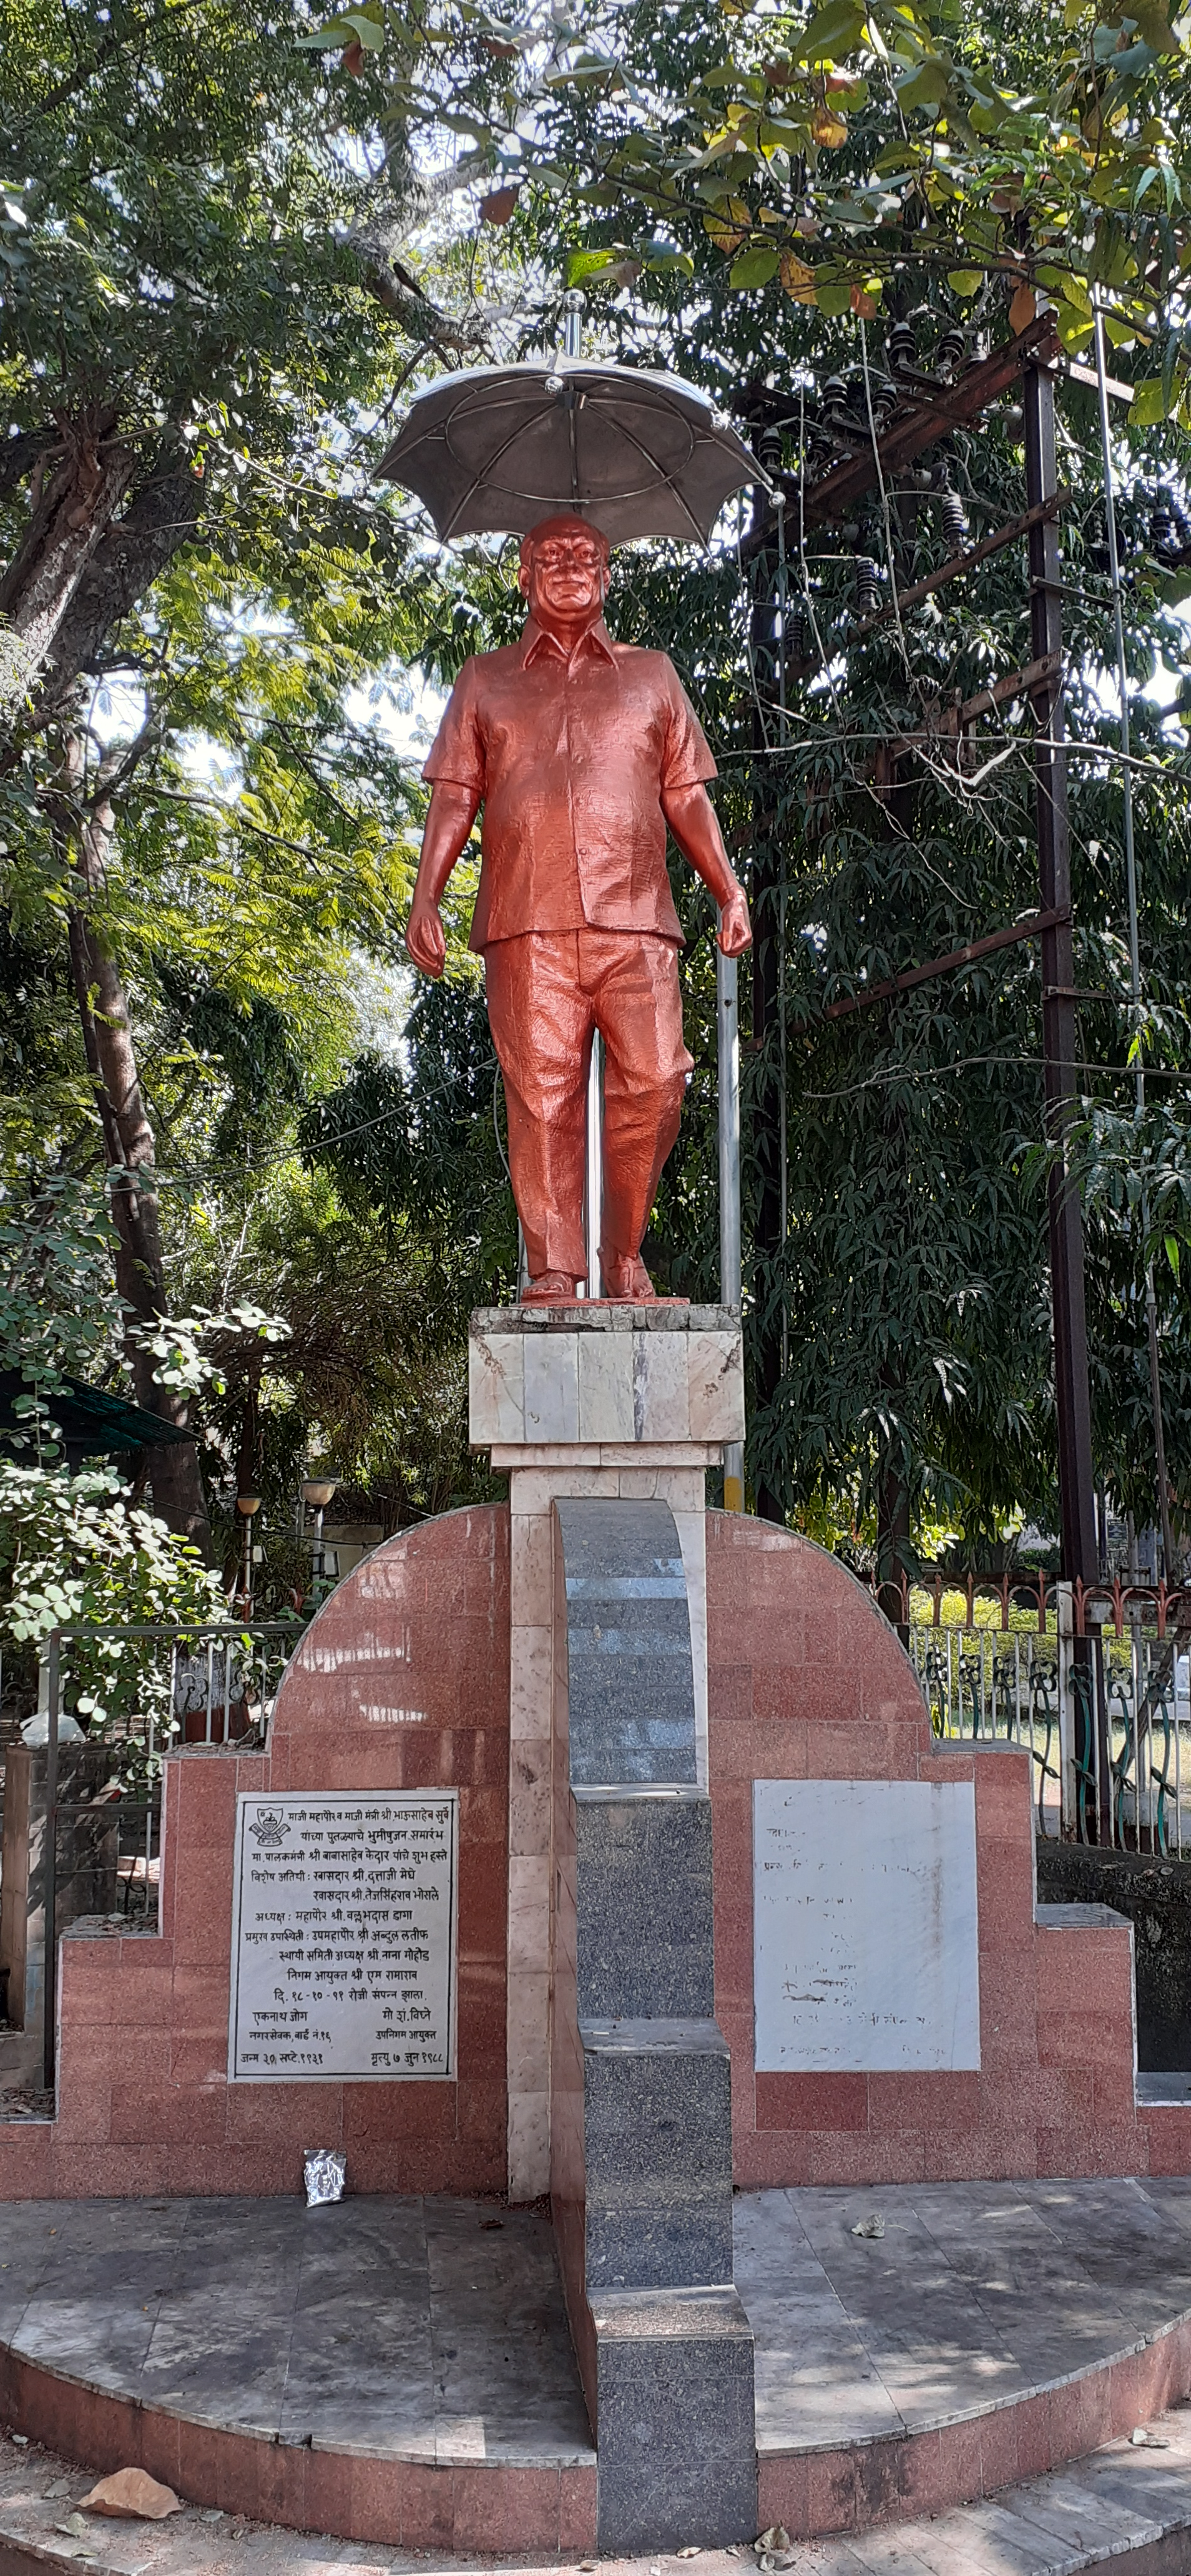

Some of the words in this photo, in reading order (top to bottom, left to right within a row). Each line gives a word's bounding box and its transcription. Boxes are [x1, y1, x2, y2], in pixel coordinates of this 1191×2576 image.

[283, 1808, 310, 1827] माजी
[306, 1806, 339, 1825] महापौर
[330, 1804, 346, 1825] ९व
[343, 1804, 365, 1825] माजी
[361, 1805, 381, 1824] मंत्री
[376, 1804, 394, 1825] श्री
[385, 1805, 434, 1826] भाऊसाहेब
[431, 1803, 455, 1828] सुर्वे
[294, 1827, 326, 1843] यांच्या
[321, 1826, 367, 1848] पुतळ्याचे
[364, 1823, 409, 1848] भुमीपुजन
[408, 1825, 446, 1845] समारंभ
[248, 1851, 266, 1865] मा.
[263, 1847, 310, 1866] पालकमंत्री
[303, 1843, 323, 1865] श्री
[319, 1842, 366, 1868] बाबासाहेब
[362, 1846, 391, 1864] केदार
[388, 1843, 414, 1865] यांचे
[406, 1847, 433, 1870] शुभ
[427, 1842, 450, 1867] हस्ते
[247, 1865, 277, 1886] विशेष
[273, 1864, 309, 1885] अतिथी
[310, 1868, 353, 1886] खासदार
[349, 1863, 368, 1886] श्री.
[363, 1864, 399, 1886] दत्ताजी
[393, 1863, 417, 1884] मेघे
[310, 1886, 353, 1906] खासदार
[347, 1883, 368, 1903] श्री.
[361, 1882, 414, 1905] तेजसिंहराव
[411, 1881, 443, 1904] भोसले
[253, 1910, 290, 1926] अध्यक्ष
[292, 1906, 332, 1928] महापौर
[325, 1903, 346, 1926] श्री.
[346, 1907, 392, 1928] वल्लभदास
[391, 1905, 416, 1924] डागा
[241, 1928, 273, 1947] प्रमुख
[268, 1925, 307, 1945] उपस्थिती
[310, 1923, 358, 1948] उपमहापौर
[353, 1922, 373, 1946] श्री
[371, 1925, 404, 1948] अब्दुल
[396, 1922, 432, 1943] लतीफ
[277, 1947, 308, 1964] स्थायी
[305, 1943, 336, 1966] समिती
[329, 1946, 366, 1964] अध्यक्ष
[363, 1945, 383, 1963] श्री
[378, 1948, 404, 1963] नाना
[400, 1944, 434, 1964] गोहोड
[283, 1964, 315, 1983] निगम
[313, 1966, 351, 1986] आयुक्त
[348, 1962, 366, 1983] श्री
[363, 1966, 385, 1986] एम
[381, 1964, 420, 1984] रामाराव
[270, 1984, 348, 2007] दि.१८-१०-१९
[345, 1984, 371, 2003] रोजी
[370, 1984, 398, 2001] संपन्न
[398, 1985, 429, 2006] झाला.
[250, 2009, 290, 2027] एकनाथ
[285, 2004, 310, 2024] जोग
[378, 2001, 436, 2025] मो शं.विघ्ने
[248, 2027, 293, 2044] नगरसेवक
[294, 2026, 313, 2044] वार्ड
[311, 2026, 335, 2044] नं.१६
[375, 2024, 408, 2041] उपनिगम
[407, 2028, 441, 2047] आयुक्त
[237, 2047, 262, 2067] जन्म
[261, 2051, 278, 2069] ३०
[277, 2047, 328, 2069] सप्टे.१९३१
[369, 2047, 395, 2071] मृत्यु
[400, 2049, 424, 2070] जुन
[419, 2049, 445, 2068] ९९८८